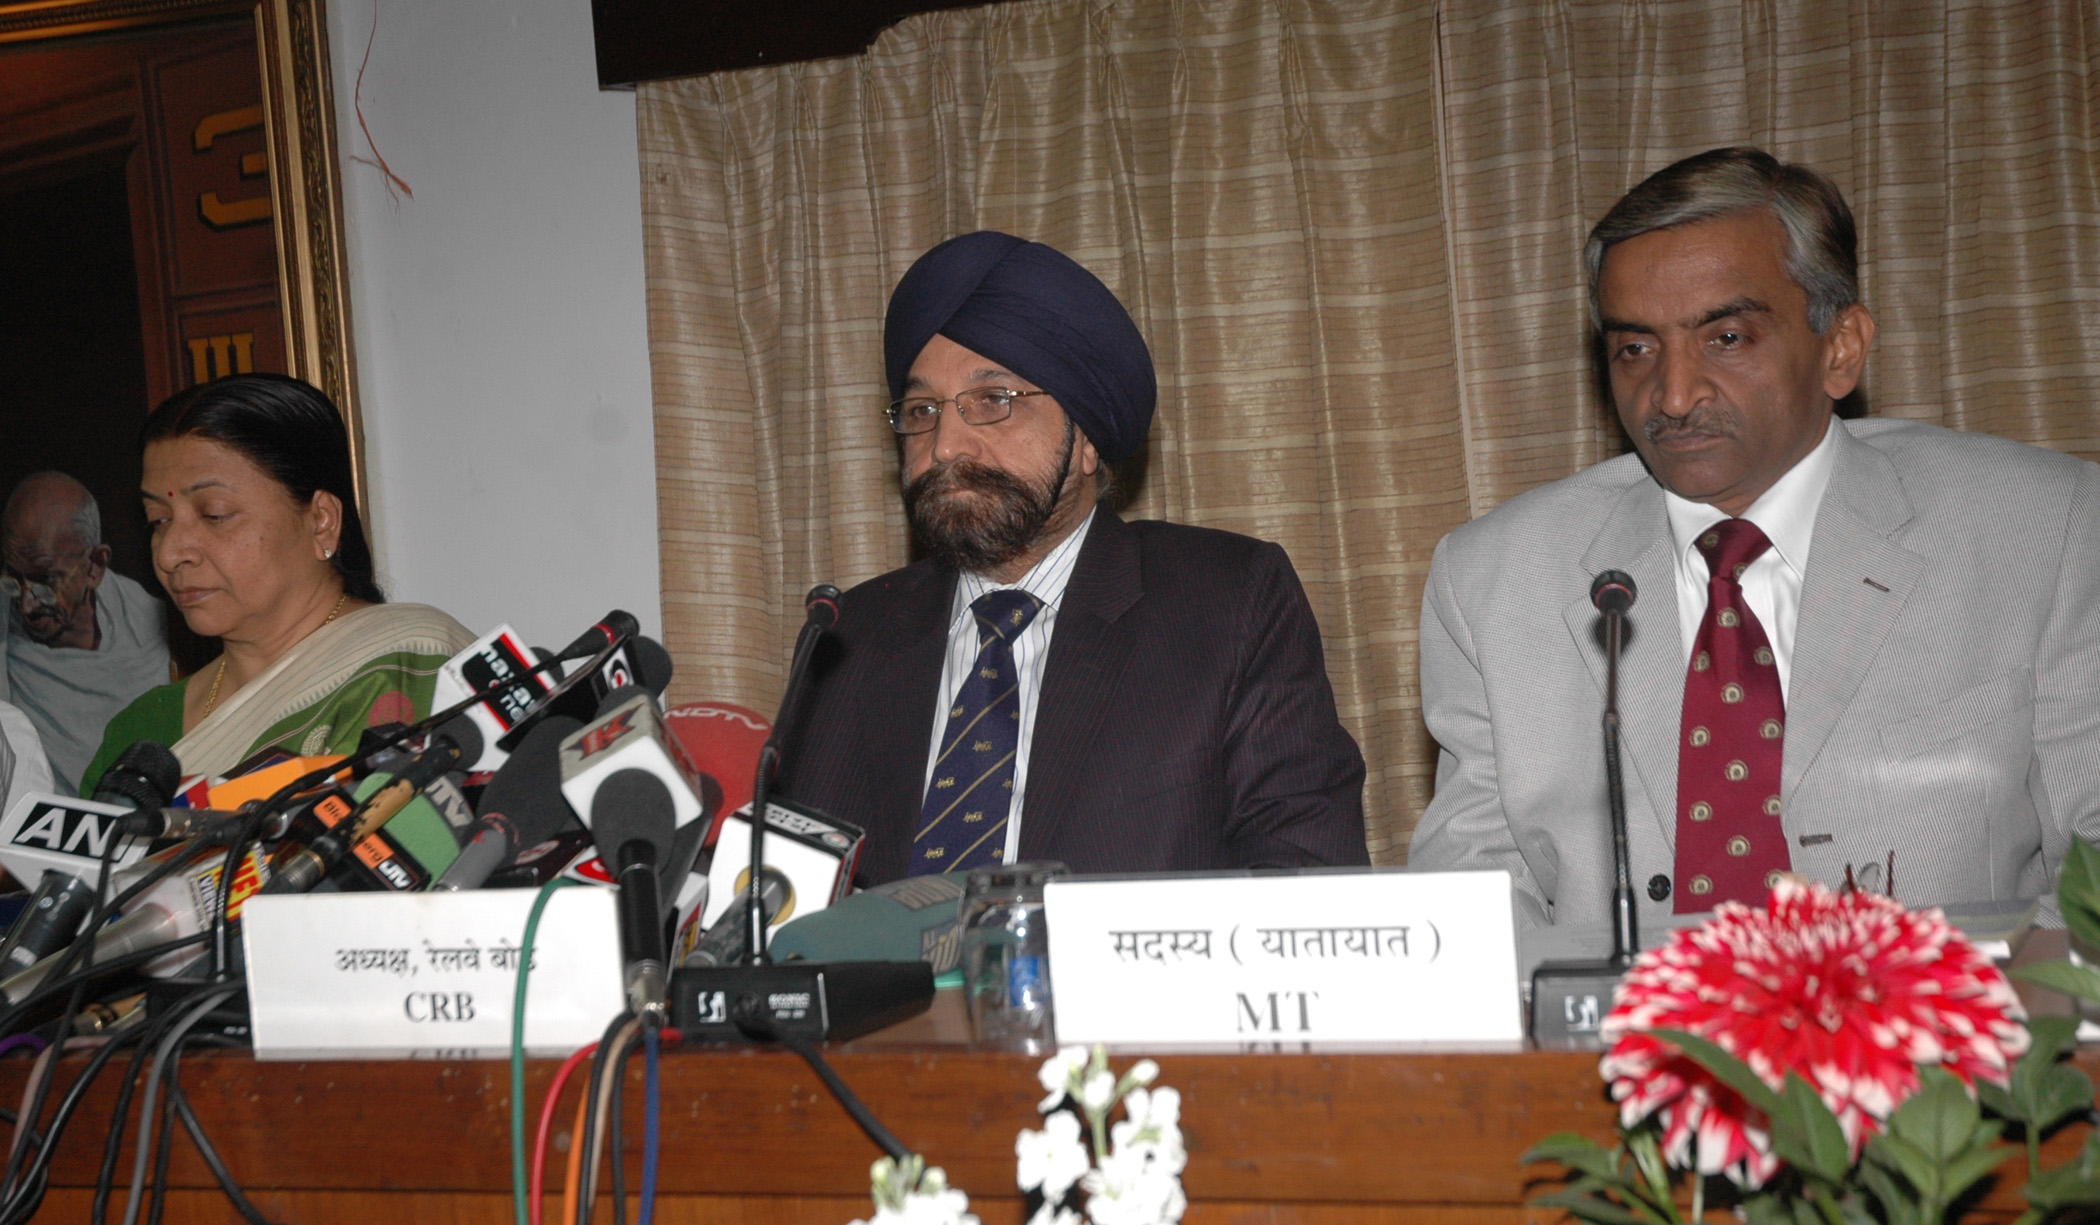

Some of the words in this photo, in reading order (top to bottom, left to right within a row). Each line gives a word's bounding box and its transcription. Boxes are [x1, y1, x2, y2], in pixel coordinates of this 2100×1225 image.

[329, 944, 415, 980] अध्यक्ष
[421, 934, 487, 980] रेलवे
[483, 936, 546, 980] बोर्ड
[1104, 924, 1219, 971] सदस्य
[1257, 923, 1415, 967] यातायात
[394, 984, 481, 1030] CRB
[1229, 984, 1324, 1044] MT